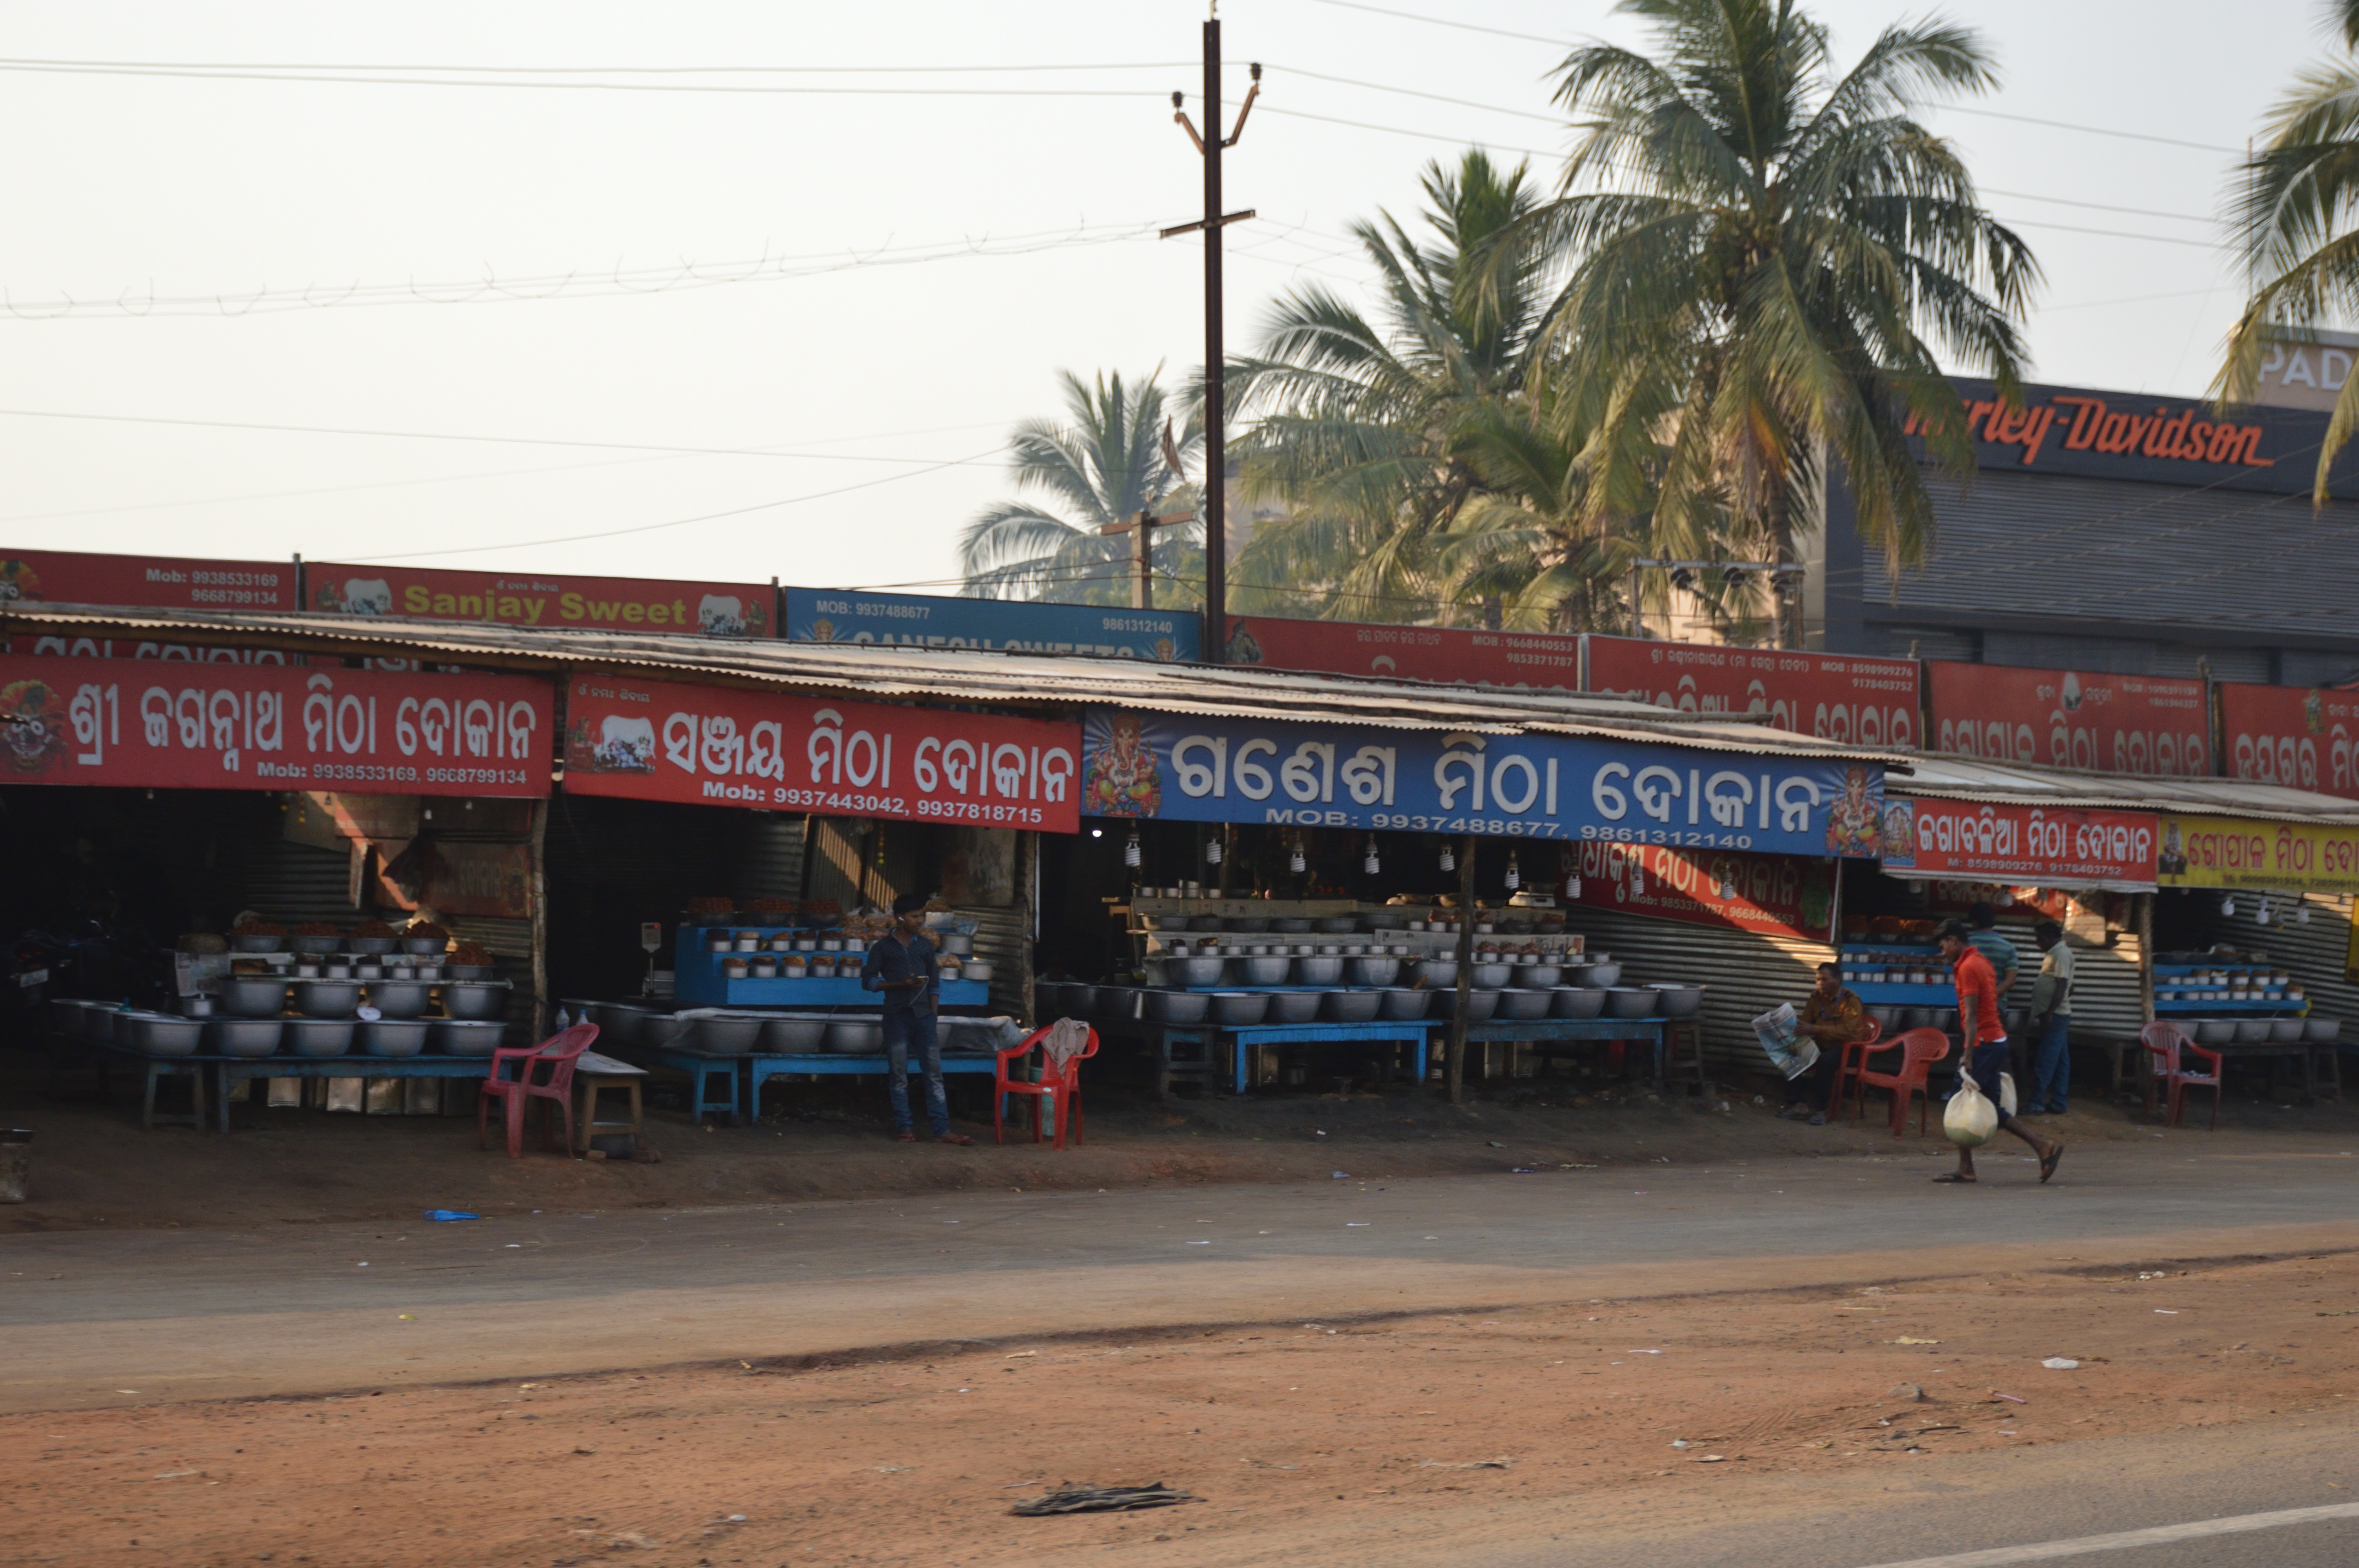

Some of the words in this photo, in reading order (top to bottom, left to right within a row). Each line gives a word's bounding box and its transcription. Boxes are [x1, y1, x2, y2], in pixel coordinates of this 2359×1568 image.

[2046, 389, 2278, 471] Davidson
[65, 674, 125, 771] ଶ୍ରୀ
[134, 680, 284, 775] ଜଗନ୍ନାଥ
[138, 562, 283, 589] Mob:9938533169
[188, 584, 281, 608] 9668799134
[299, 662, 381, 757] ମିଠା
[391, 692, 540, 762] ଦୋକାନ
[399, 579, 551, 629] Sanjay
[558, 586, 690, 630] Sweet
[617, 683, 651, 703] ଶିବାୟ
[653, 707, 787, 783] ସଞ୍ଜୟ
[701, 778, 769, 806] Mob:
[770, 782, 905, 818] 9937443042
[802, 699, 896, 791] ମିଠା
[812, 597, 932, 622] MOB:9937488677
[915, 791, 1048, 825] 9937818715
[910, 732, 1079, 805] ଦୋକାନ
[1164, 732, 1399, 808] ଗଣେଶ
[1261, 806, 1361, 831] MOB:
[1394, 626, 1446, 647] ଜୟ ମାଧବ
[1426, 723, 1559, 817] ମିଠା
[1645, 646, 1668, 672] ଶ୍ରୀ
[1662, 645, 1726, 671] ଲକ୍ଷ୍ମୀନାରାୟଣ
[1586, 757, 1822, 837] ଦୋକାନ
[1725, 652, 1750, 673] (ମା
[1809, 697, 1914, 758] ଦୋକାନ
[1817, 659, 1915, 680] MOB:8598909276
[1849, 672, 1916, 695] 9178403752
[1915, 800, 2022, 856] ଜଗାବଳିଆ
[1937, 715, 2045, 770] ଗୋପାଳ
[2021, 801, 2072, 861] ମିଠା
[2043, 702, 2104, 777] ମିଠା
[2072, 823, 2155, 867] ଦୋକାନ
[2112, 724, 2210, 784] ଦୋକାନ
[2182, 829, 2268, 873] ଗୋପାଳ
[2230, 728, 2326, 797] ଜଗନ୍ନାଥ
[2269, 821, 2317, 875] ମିଠା
[2321, 831, 2355, 876] ଦେ